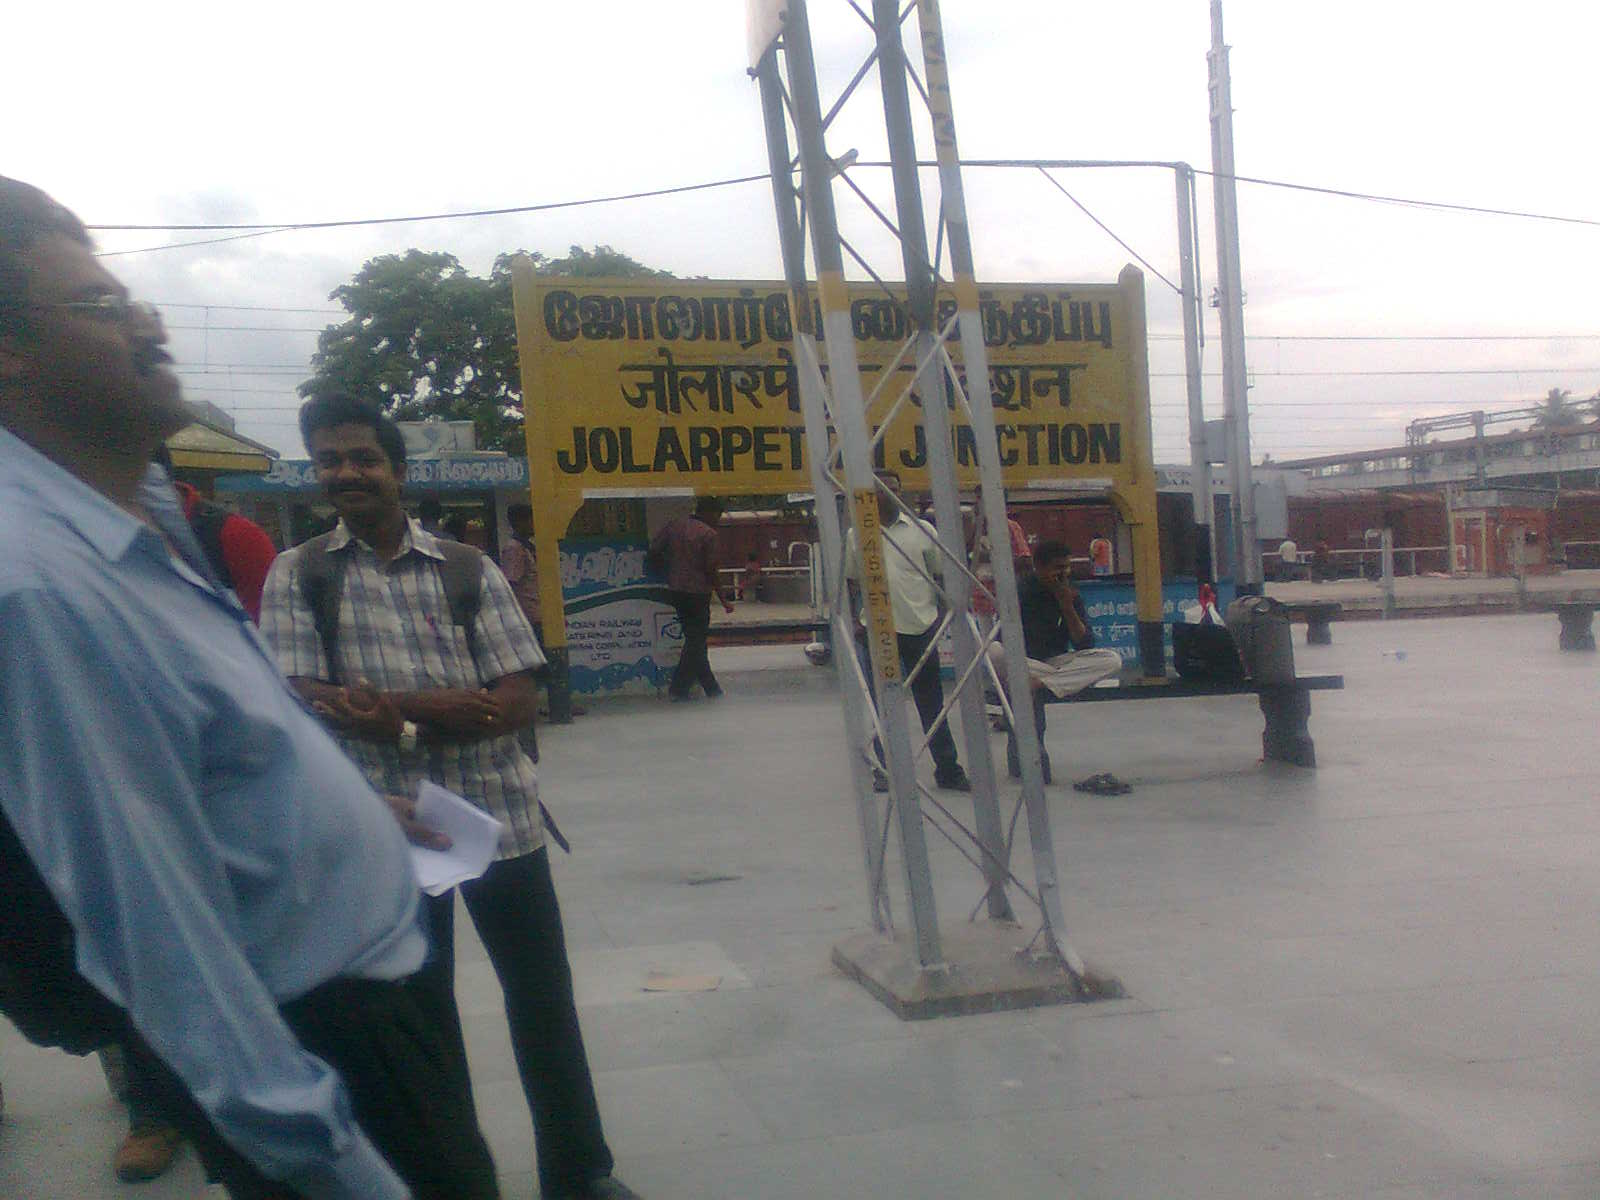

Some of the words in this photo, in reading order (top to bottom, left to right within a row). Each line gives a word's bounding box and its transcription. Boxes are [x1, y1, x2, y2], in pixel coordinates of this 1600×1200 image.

[616, 339, 895, 421] जोलारपे
[894, 351, 1090, 418] शन
[549, 419, 890, 477] JOLARPET
[892, 417, 1125, 474] JUNCTION